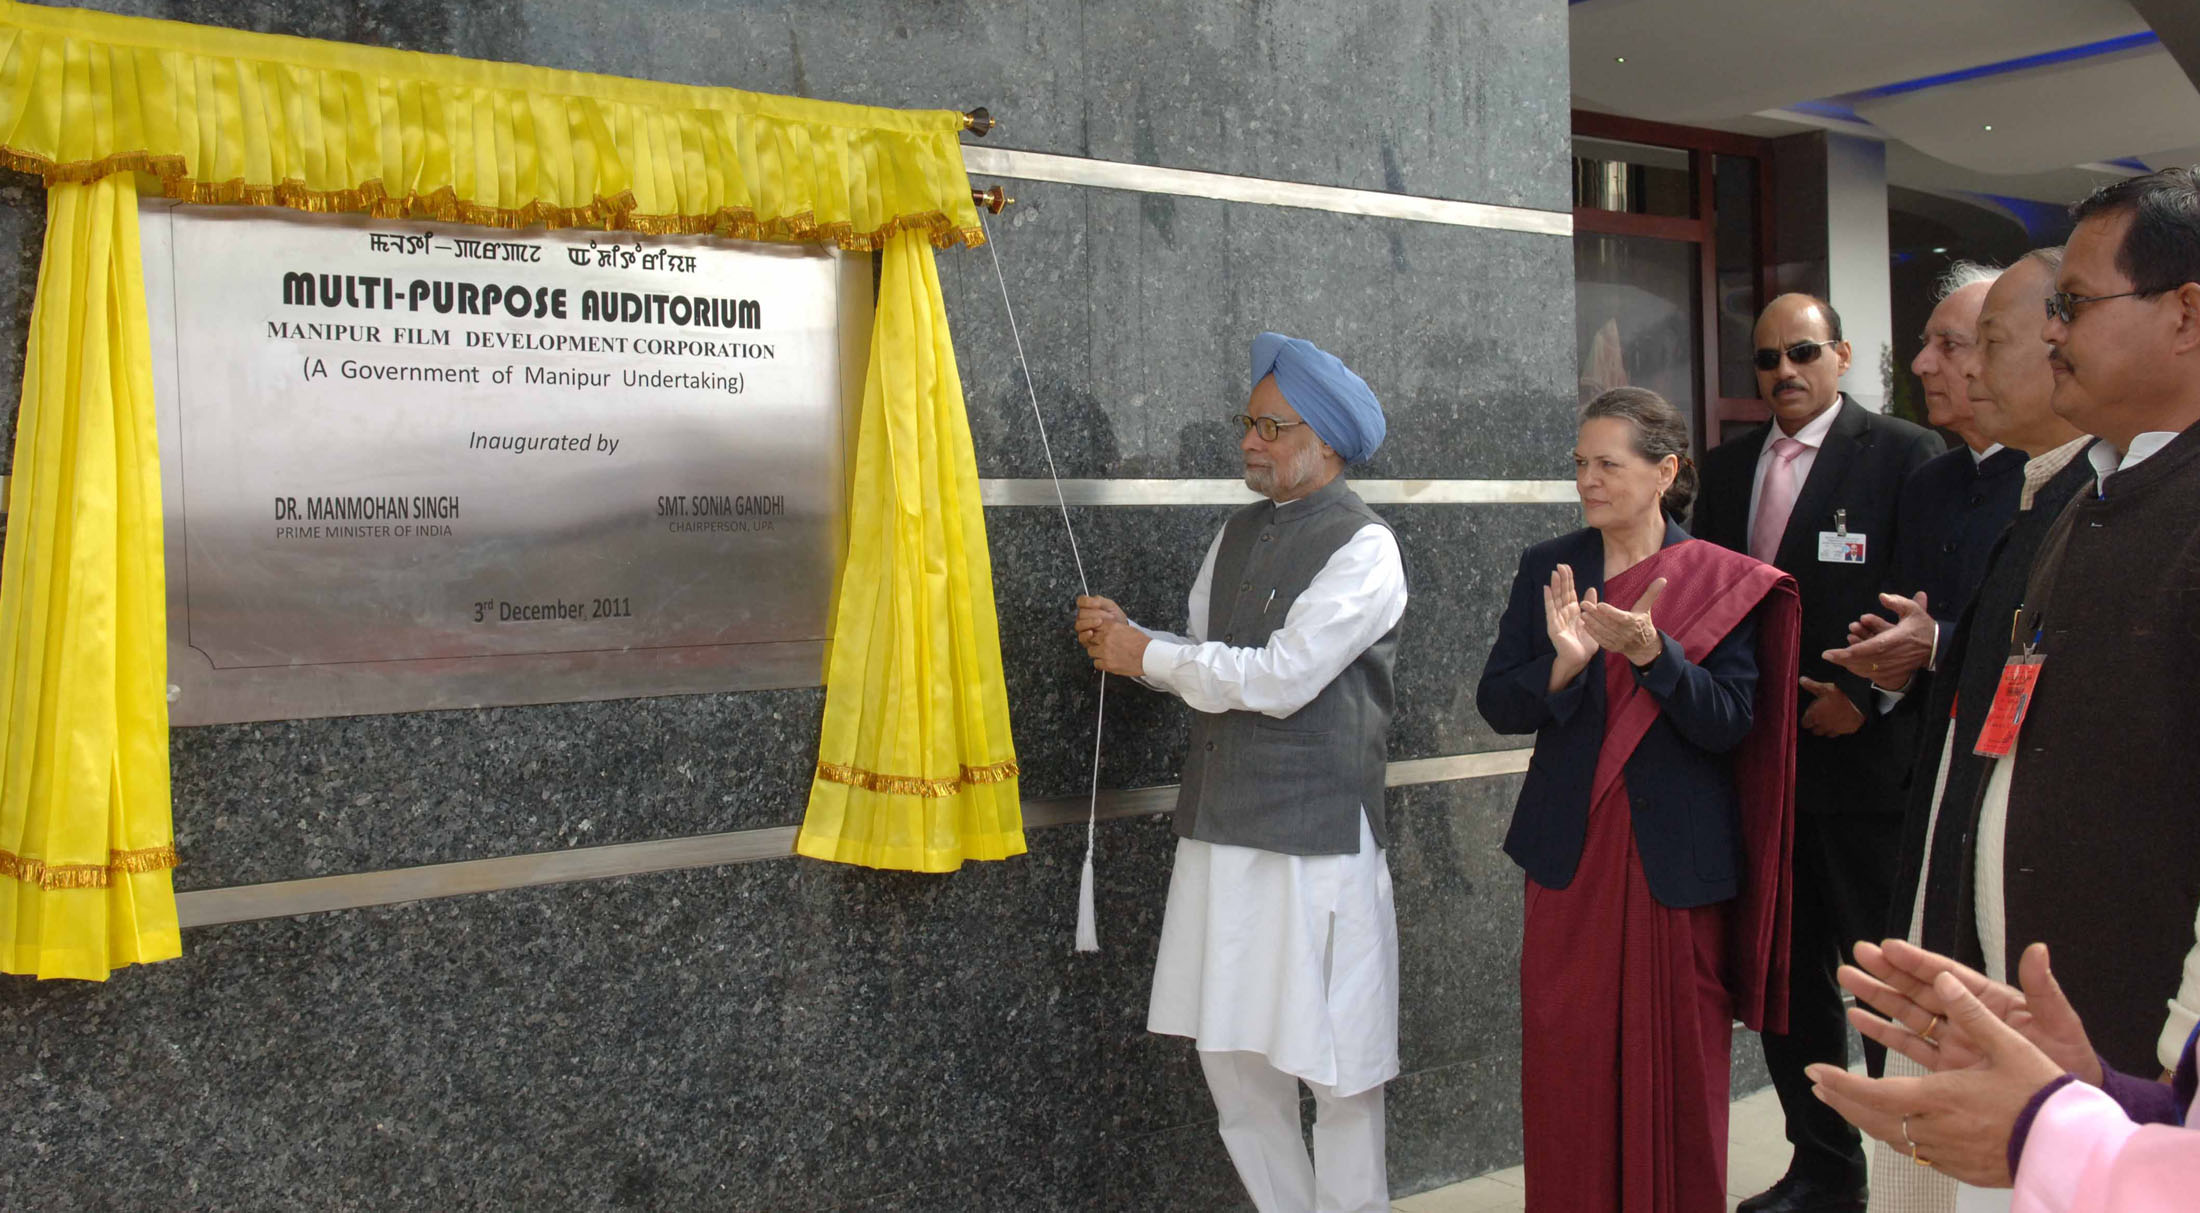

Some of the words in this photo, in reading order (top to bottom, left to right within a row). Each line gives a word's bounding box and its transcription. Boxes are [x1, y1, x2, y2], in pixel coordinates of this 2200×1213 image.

[363, 222, 439, 260] ꯃꯜꯇꯤ
[451, 234, 550, 267] ꯄꯔꯄꯖ
[561, 235, 699, 277] ꯑꯣꯗꯤꯇꯣꯔꯤꯌꯝ
[280, 267, 403, 318] MULTI-
[401, 275, 573, 325] PURPOSE
[579, 287, 769, 336] AUDITORIUM
[265, 315, 383, 346] MANIPUR
[391, 320, 452, 349] FILM
[462, 325, 629, 358] DEVELOPMENT
[628, 333, 782, 364] CORPORATION
[300, 353, 332, 387] (A
[340, 359, 480, 386] Government
[486, 363, 516, 389] of
[524, 363, 611, 389] Manipur
[622, 368, 743, 394] Undertaking
[468, 429, 595, 461] Inaugurated
[587, 427, 629, 457] by
[268, 484, 309, 526] DR.
[272, 518, 326, 543] PRIME
[305, 492, 411, 524] MANMOHAN
[323, 518, 395, 544] MINISTER
[385, 520, 417, 541] OF
[409, 517, 457, 543] INDIA
[406, 488, 465, 523] SINGH
[648, 486, 693, 520] SMT.
[663, 514, 750, 537] CHAIRPERSON.
[688, 488, 739, 523] SONIA
[727, 483, 790, 523] GANDHI
[748, 514, 778, 533] UPA
[468, 585, 498, 633] 3rd
[495, 591, 587, 626] December
[585, 587, 639, 623] 2011